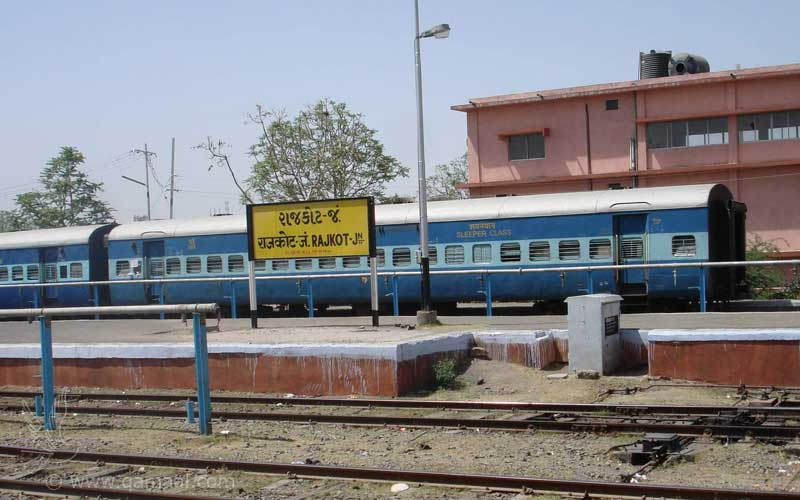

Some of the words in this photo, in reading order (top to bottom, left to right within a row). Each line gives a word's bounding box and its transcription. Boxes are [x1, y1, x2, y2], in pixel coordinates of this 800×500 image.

[274, 203, 344, 226] રાજકોટન્જ
[255, 227, 313, 250] राजकोट-जं.
[309, 229, 365, 249] RAJKOT-JN